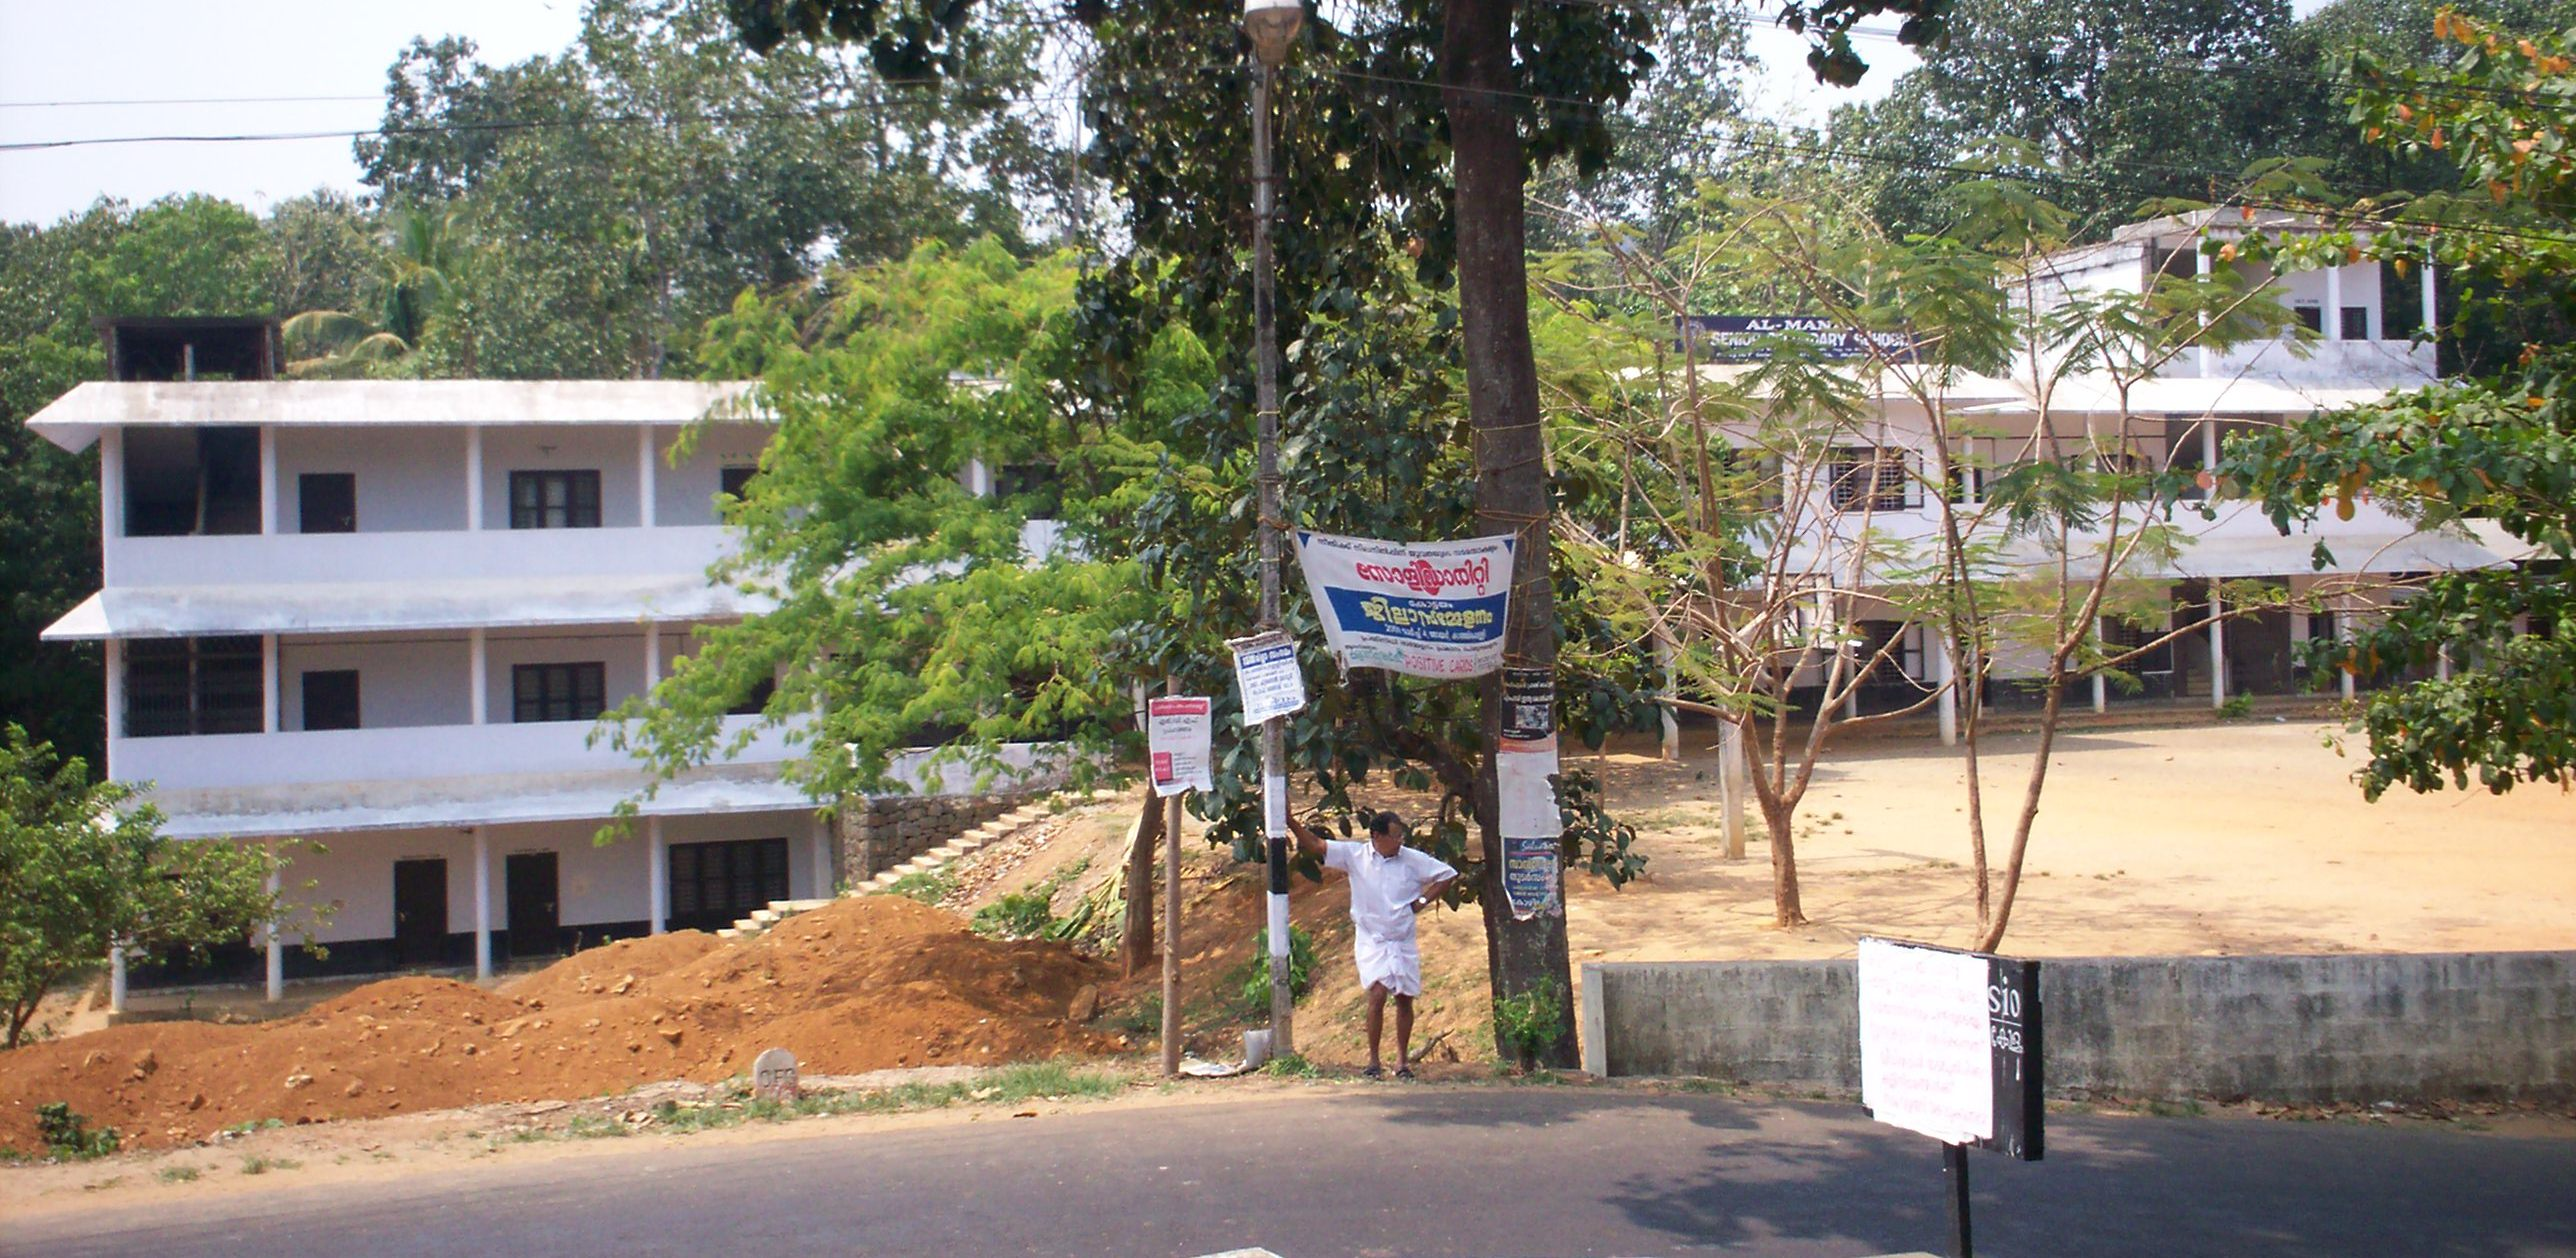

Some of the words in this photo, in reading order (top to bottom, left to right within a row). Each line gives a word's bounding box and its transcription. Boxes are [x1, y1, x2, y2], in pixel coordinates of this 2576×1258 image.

[1347, 551, 1497, 603] സോളഡാരിറ്റി
[1357, 589, 1497, 633] ജില്ലാപ്രമേളനം
[1401, 647, 1449, 676] POSITIVE
[1445, 653, 1476, 676] CARDS